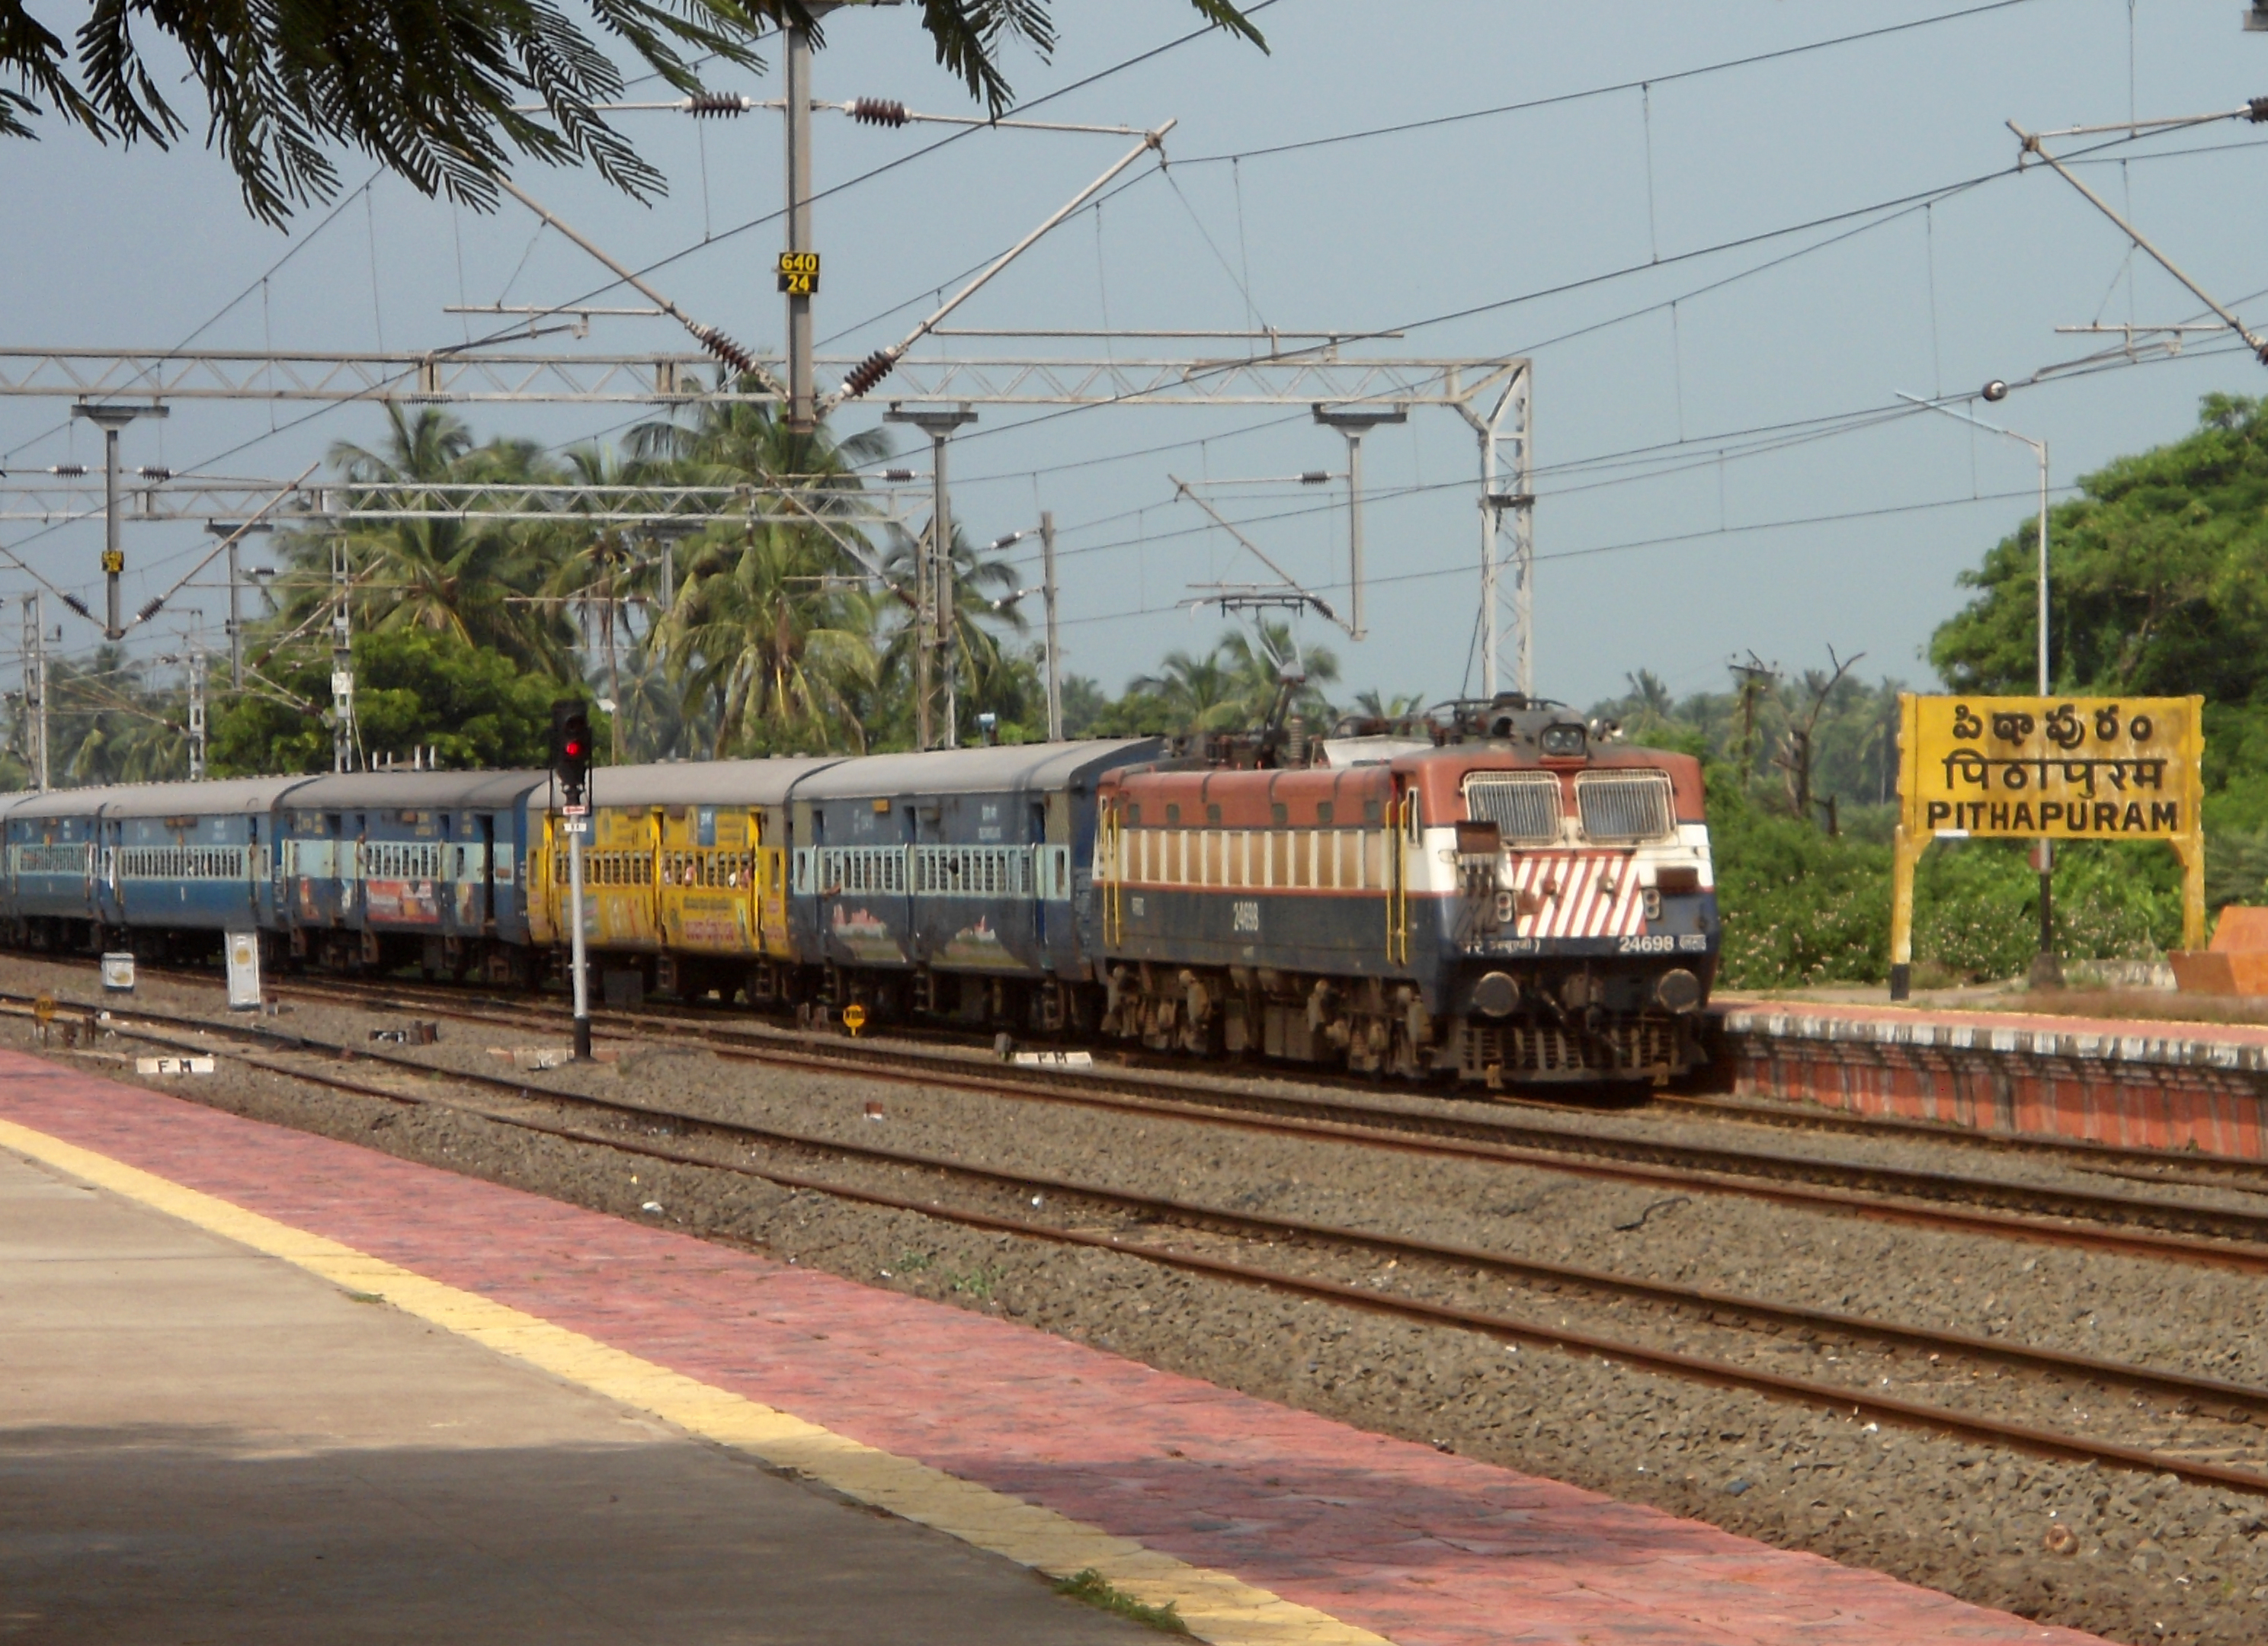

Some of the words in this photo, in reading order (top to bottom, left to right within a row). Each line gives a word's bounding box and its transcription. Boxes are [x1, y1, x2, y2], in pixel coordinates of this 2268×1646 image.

[1943, 700, 2157, 754] పిఠాపురం
[1940, 741, 2170, 802] पिठापुरम
[1926, 796, 2180, 833] PITHAPURAM